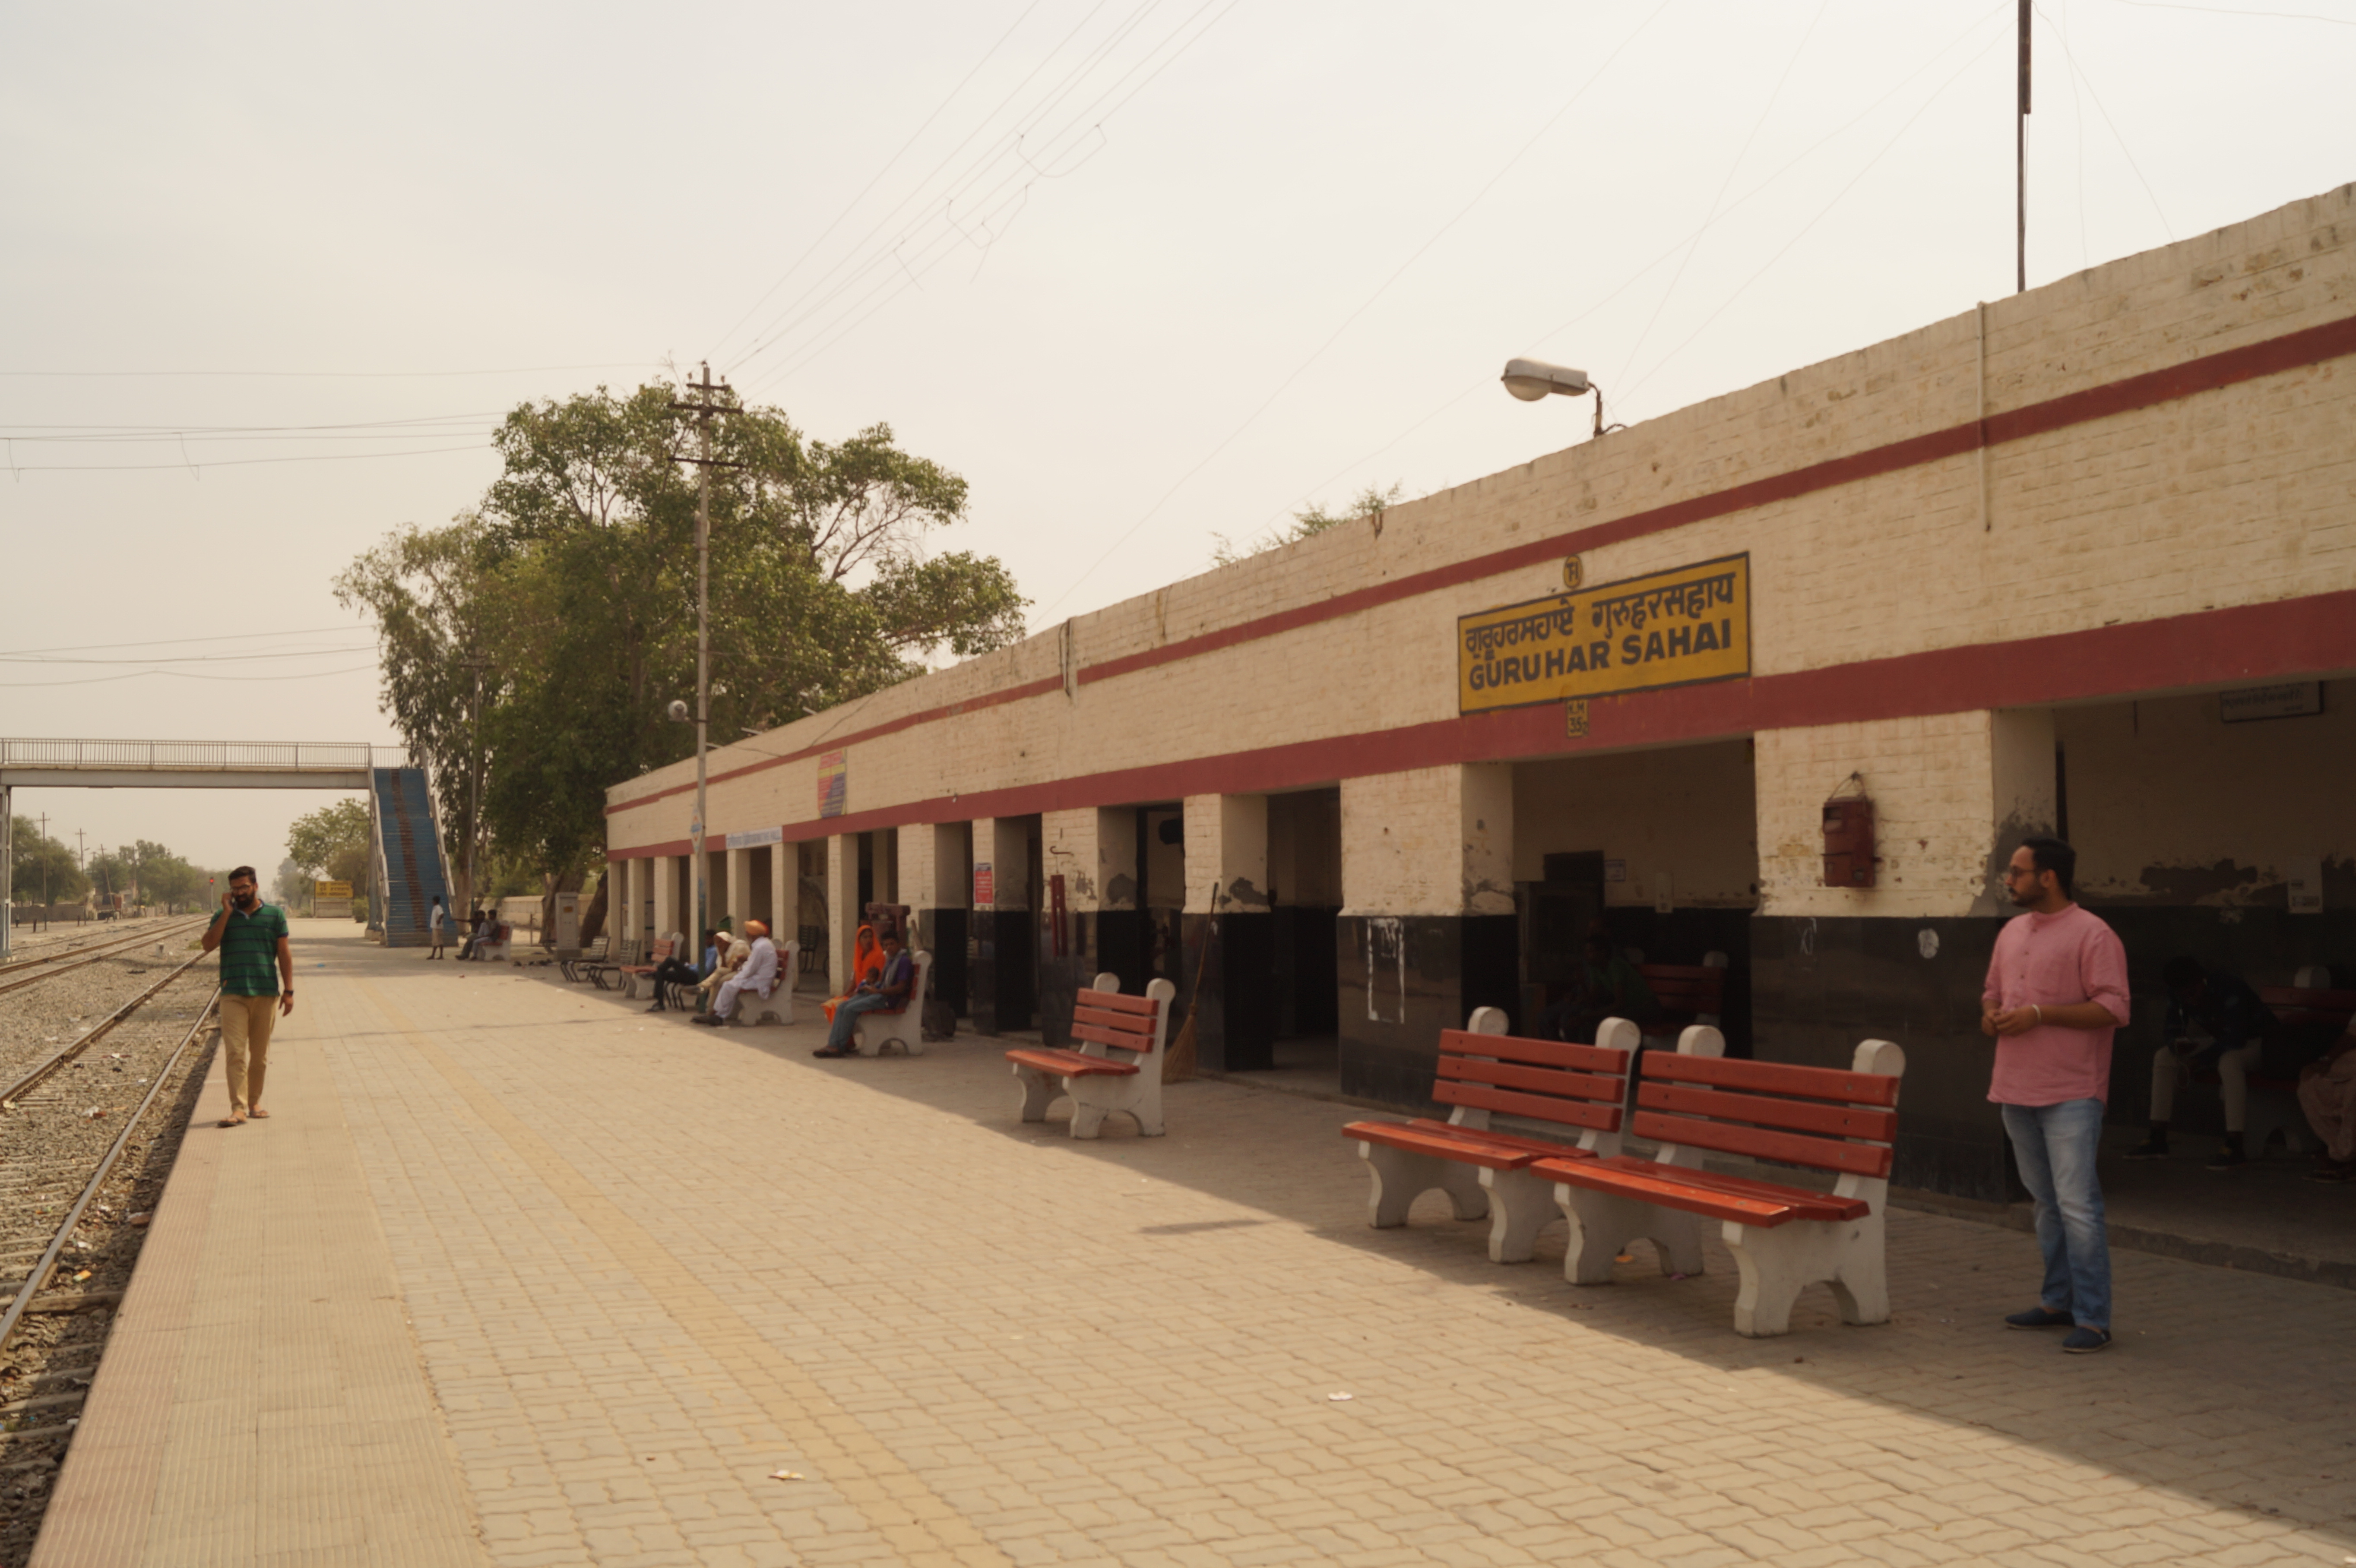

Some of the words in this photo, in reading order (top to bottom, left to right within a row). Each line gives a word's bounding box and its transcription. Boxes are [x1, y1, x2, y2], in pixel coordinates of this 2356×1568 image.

[1462, 594, 1581, 665] ਗੁਰੂਹਰਸਹਾਏ
[1460, 638, 1616, 696] GURUHAR
[1586, 568, 1743, 644] गुरुहरसहाय
[1614, 615, 1738, 670] SAHAI